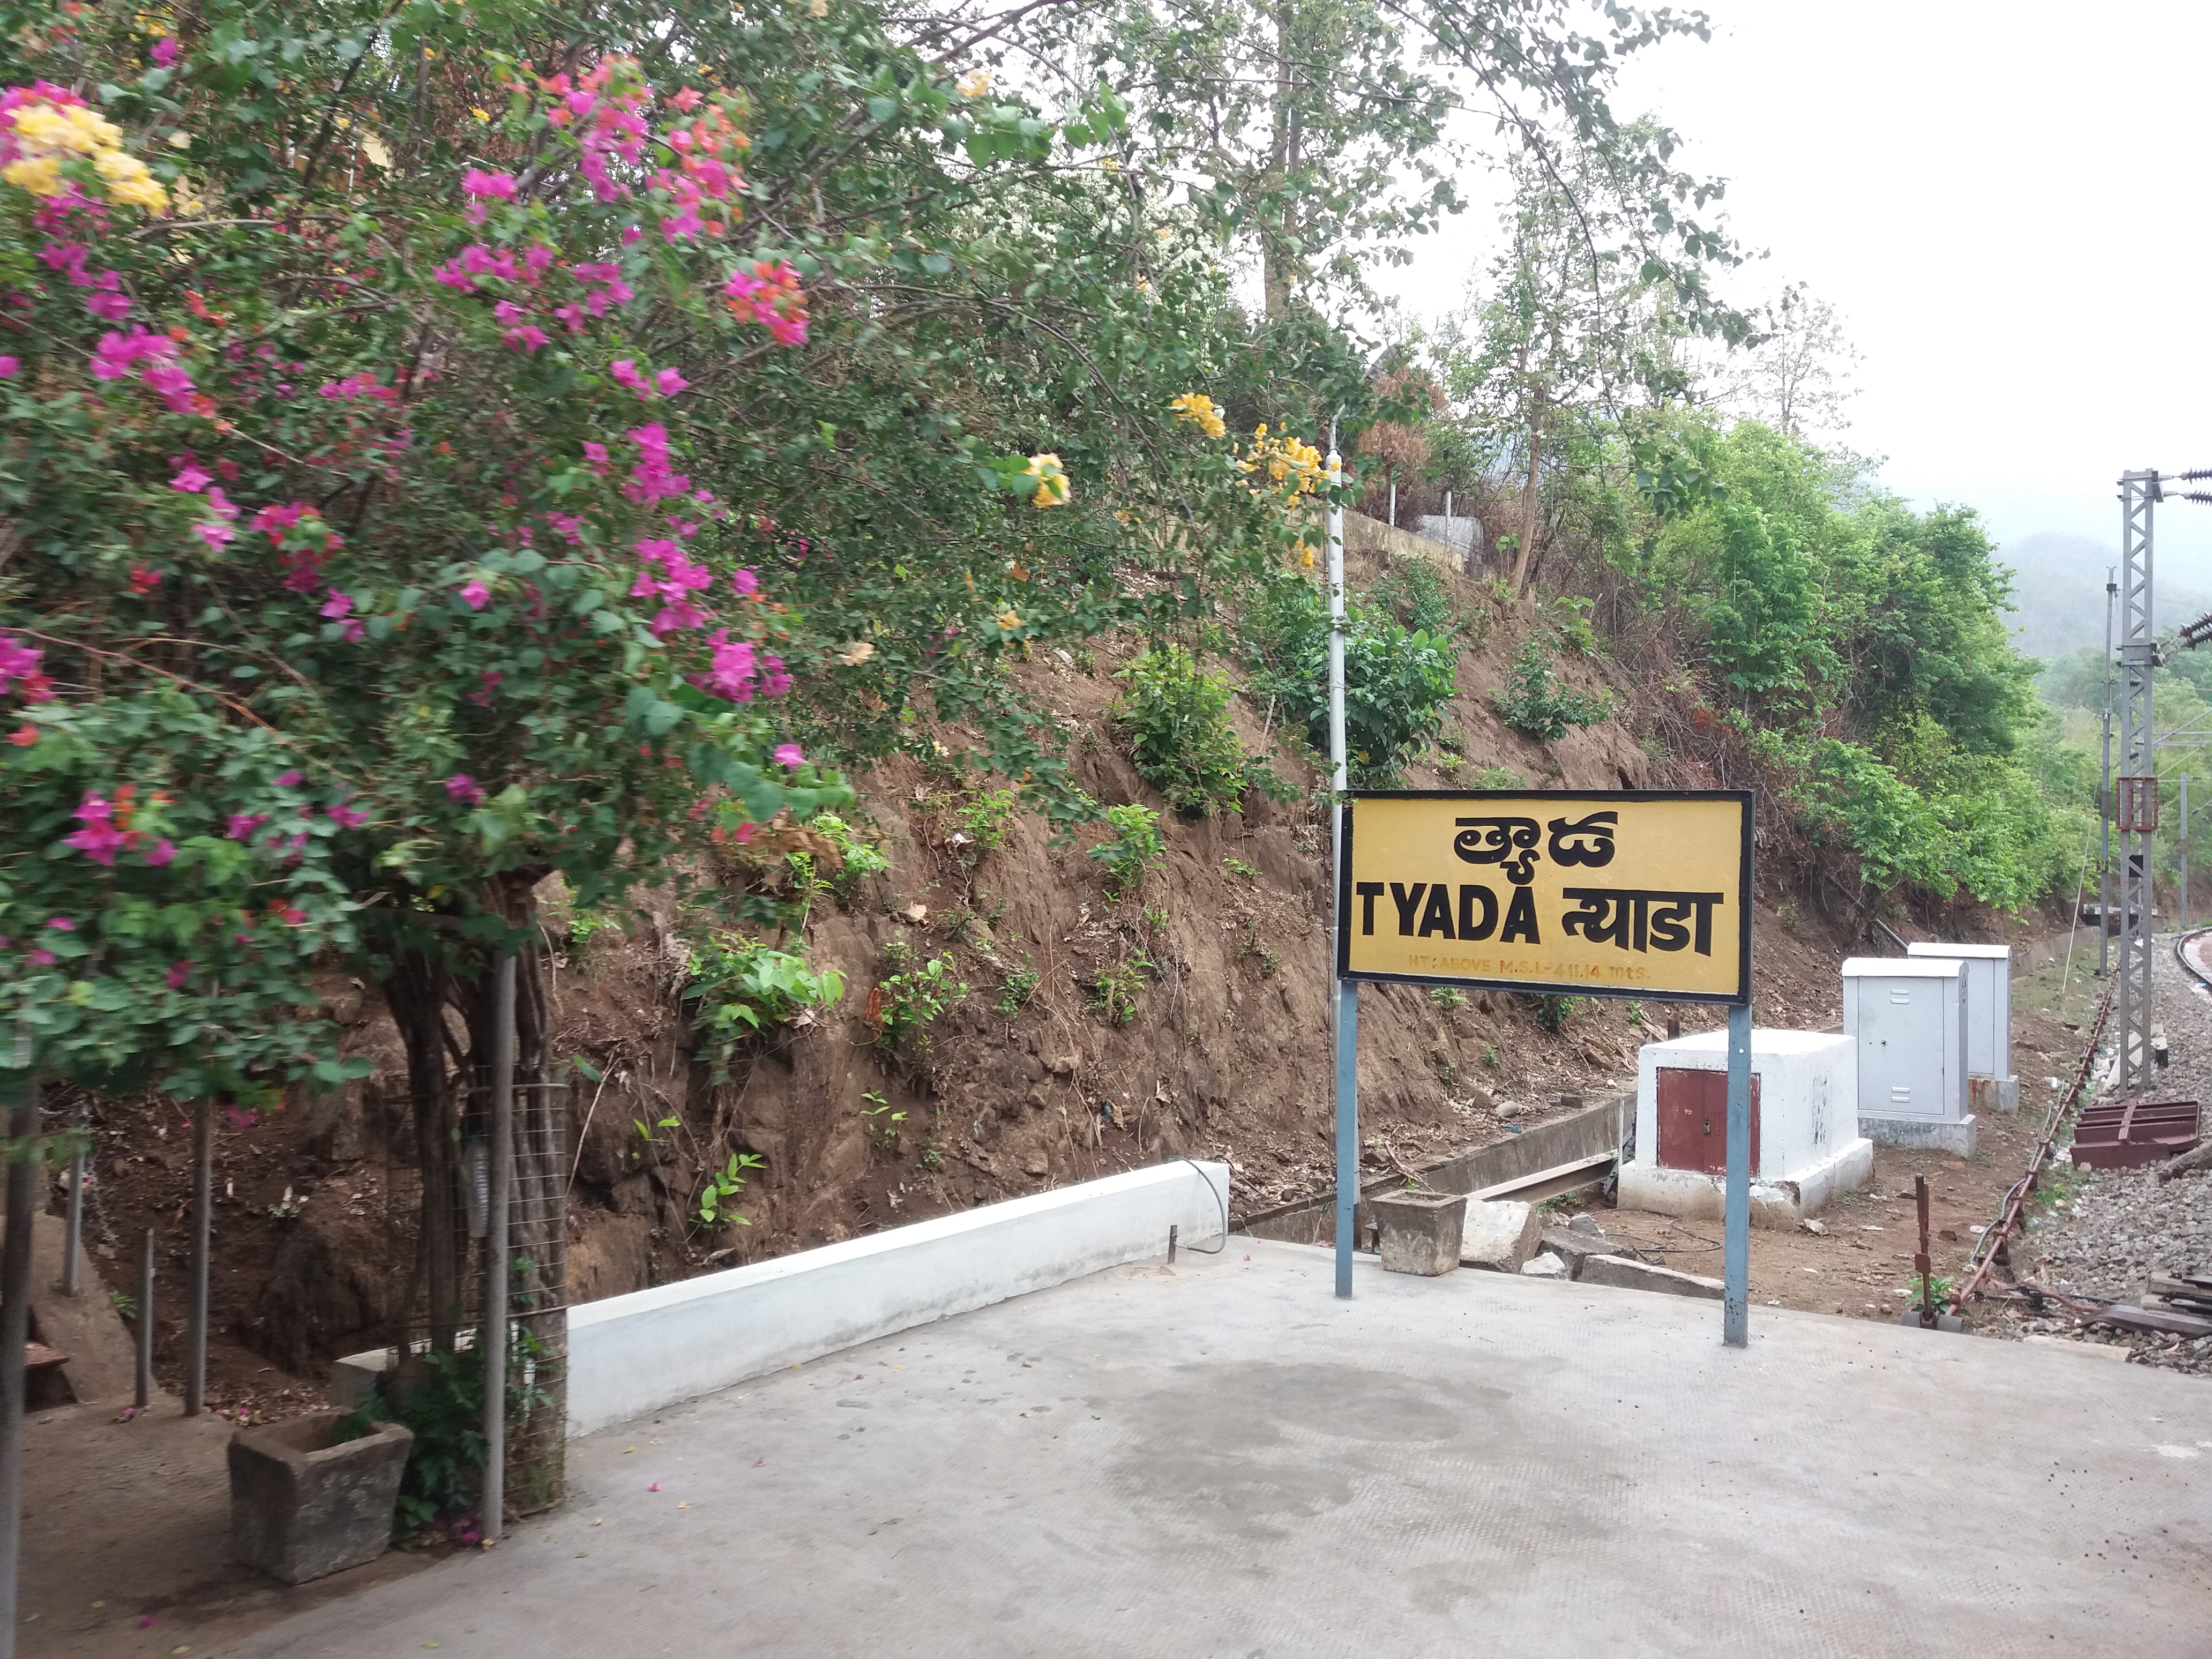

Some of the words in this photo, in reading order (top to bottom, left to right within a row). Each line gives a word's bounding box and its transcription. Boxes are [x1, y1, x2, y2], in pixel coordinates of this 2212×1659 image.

[1446, 807, 1621, 893] త్యడ
[1354, 877, 1543, 951] TYADA
[1561, 883, 1730, 965] त्याडा